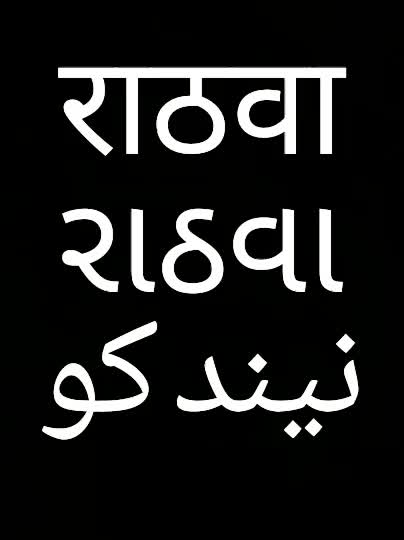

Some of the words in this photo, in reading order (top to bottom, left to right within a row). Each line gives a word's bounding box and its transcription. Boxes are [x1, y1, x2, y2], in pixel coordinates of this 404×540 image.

[42, 46, 362, 180] राठवा
[58, 202, 368, 303] રાઠવા
[22, 310, 374, 472] نیند کو